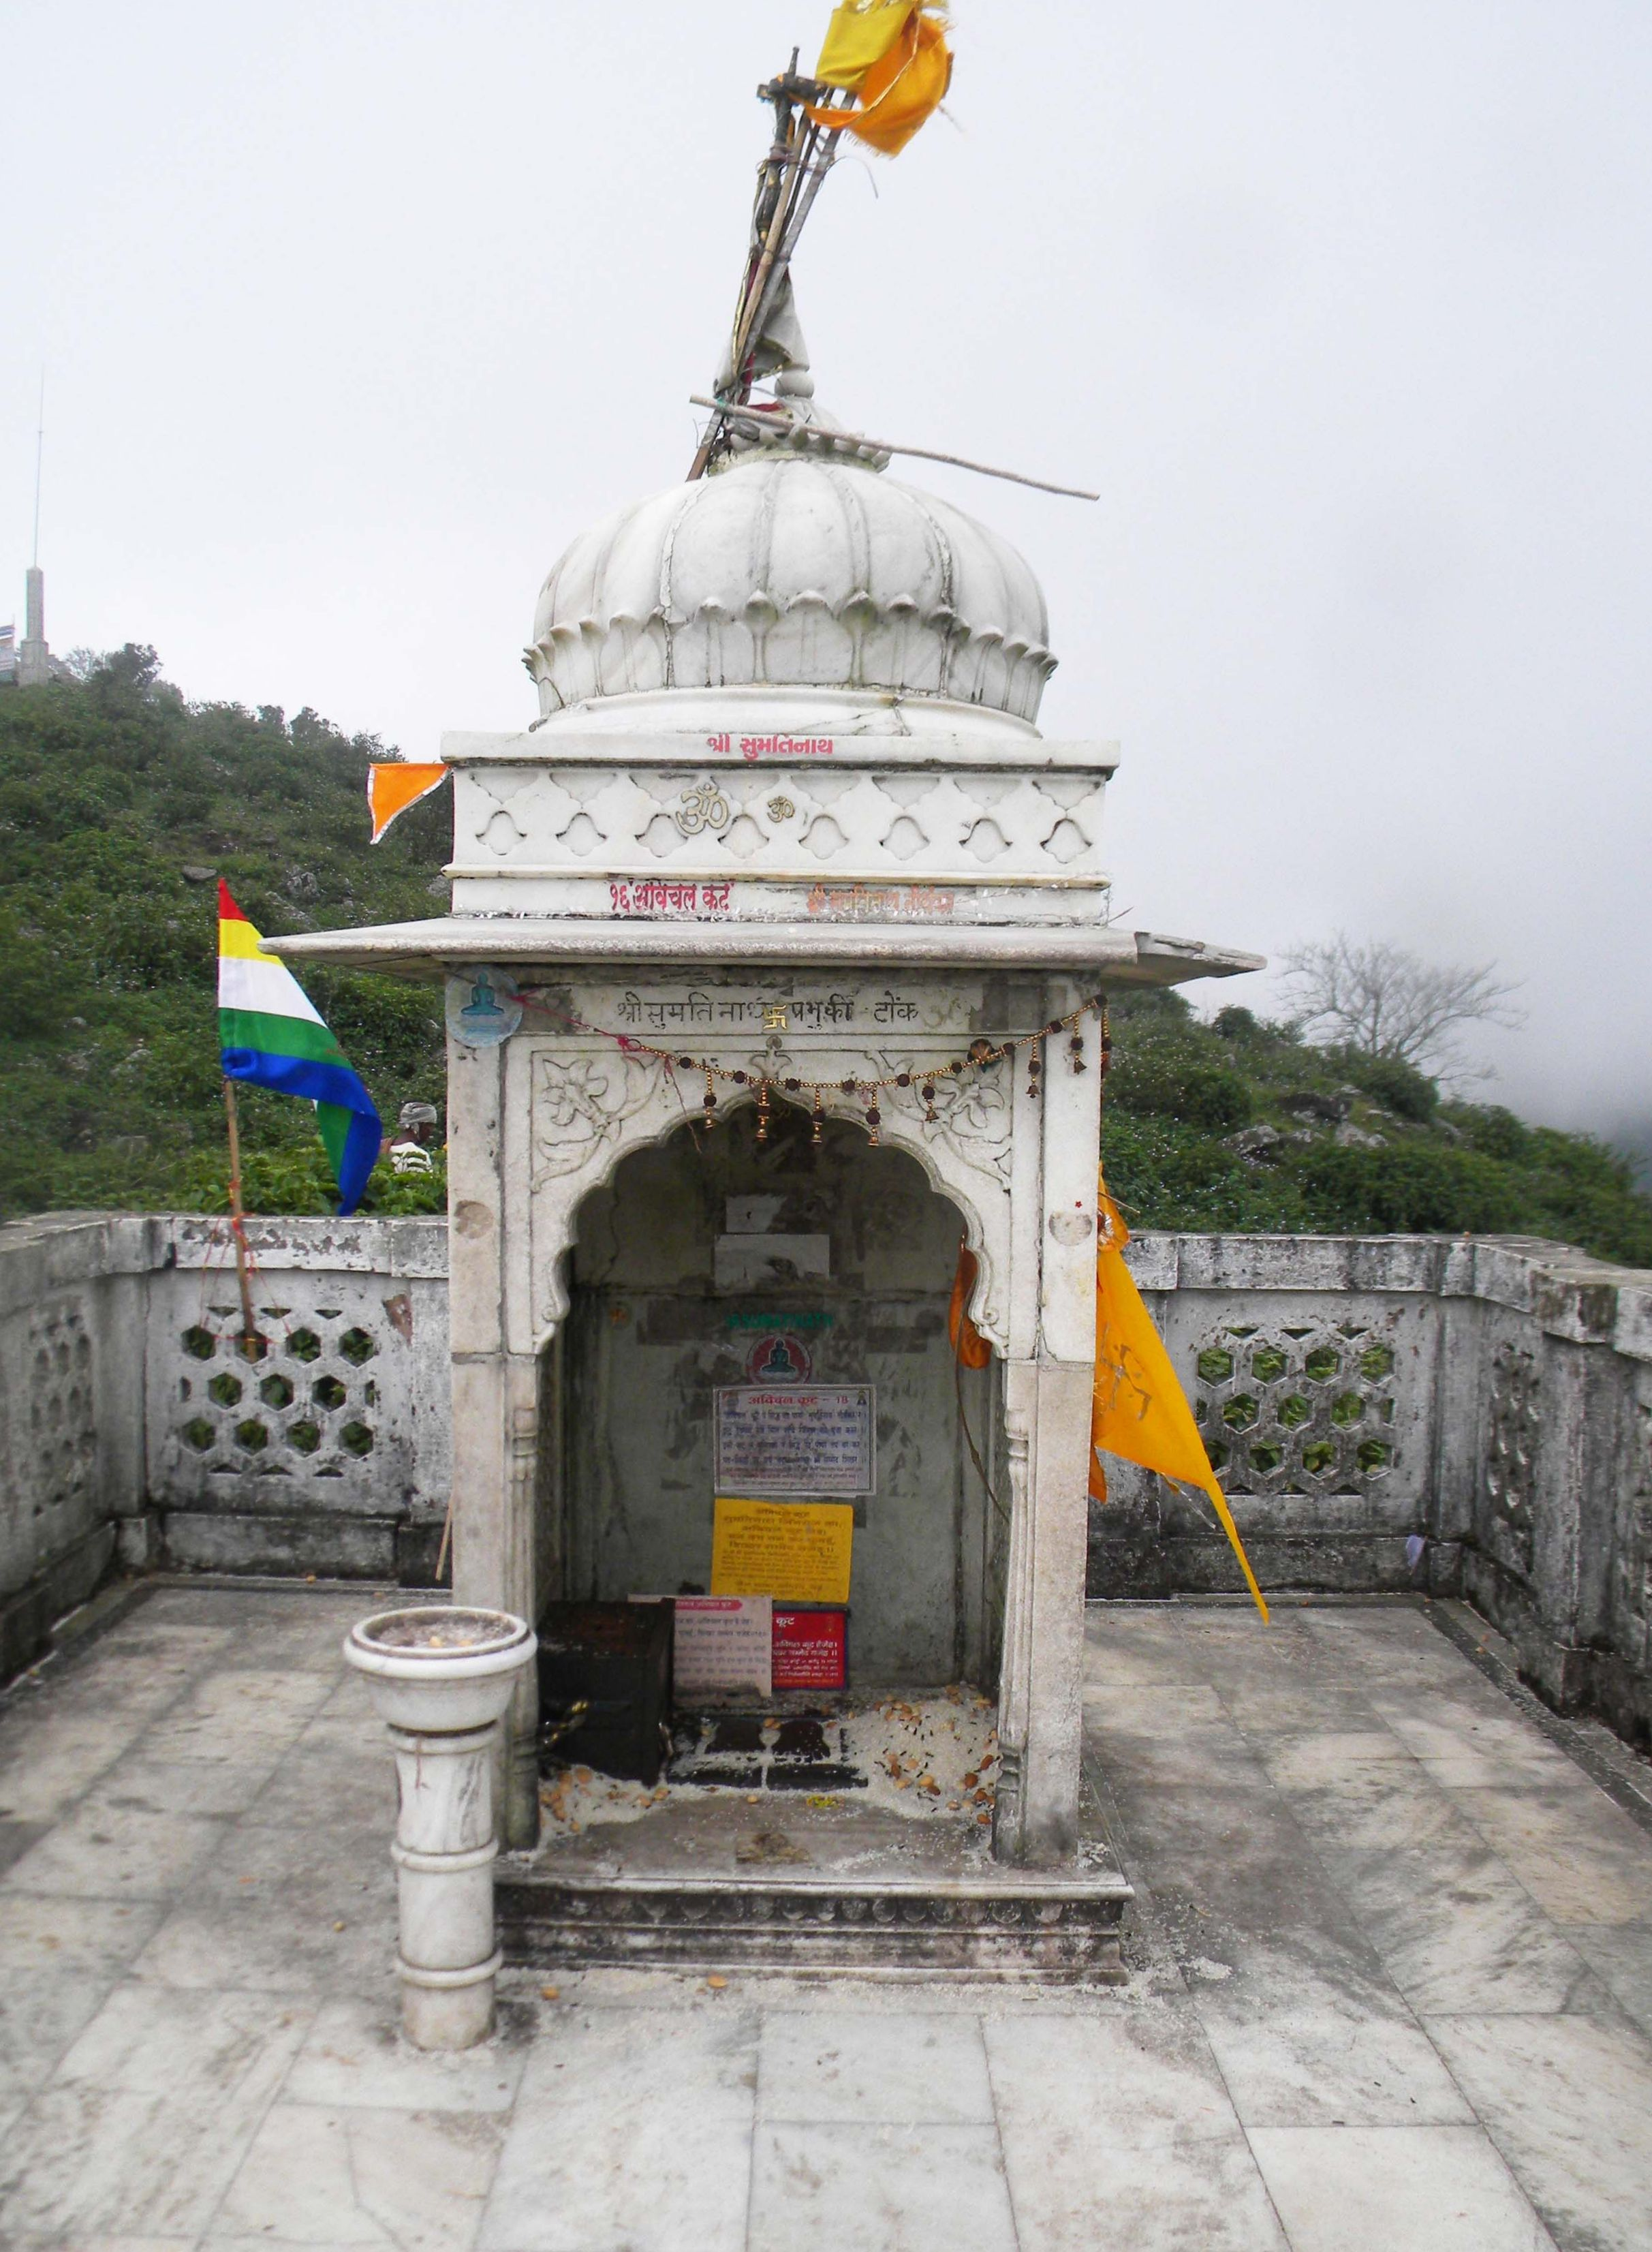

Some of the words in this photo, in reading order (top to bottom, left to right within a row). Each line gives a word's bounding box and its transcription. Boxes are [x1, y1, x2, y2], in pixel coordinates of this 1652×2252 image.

[706, 729, 732, 754] श्री
[736, 728, 836, 764] સુમતિનાथ
[607, 882, 634, 912] १६
[632, 877, 698, 915] अविचल
[701, 884, 732, 913] कट
[614, 987, 644, 1025] श्री
[644, 989, 715, 1032] सुमति
[717, 1000, 775, 1023] नाथ
[785, 1000, 825, 1034] प्रभु
[822, 989, 856, 1024] की
[871, 985, 922, 1024] टोंक
[745, 1391, 796, 1407] अविक्ज
[773, 1614, 798, 1629] कूट